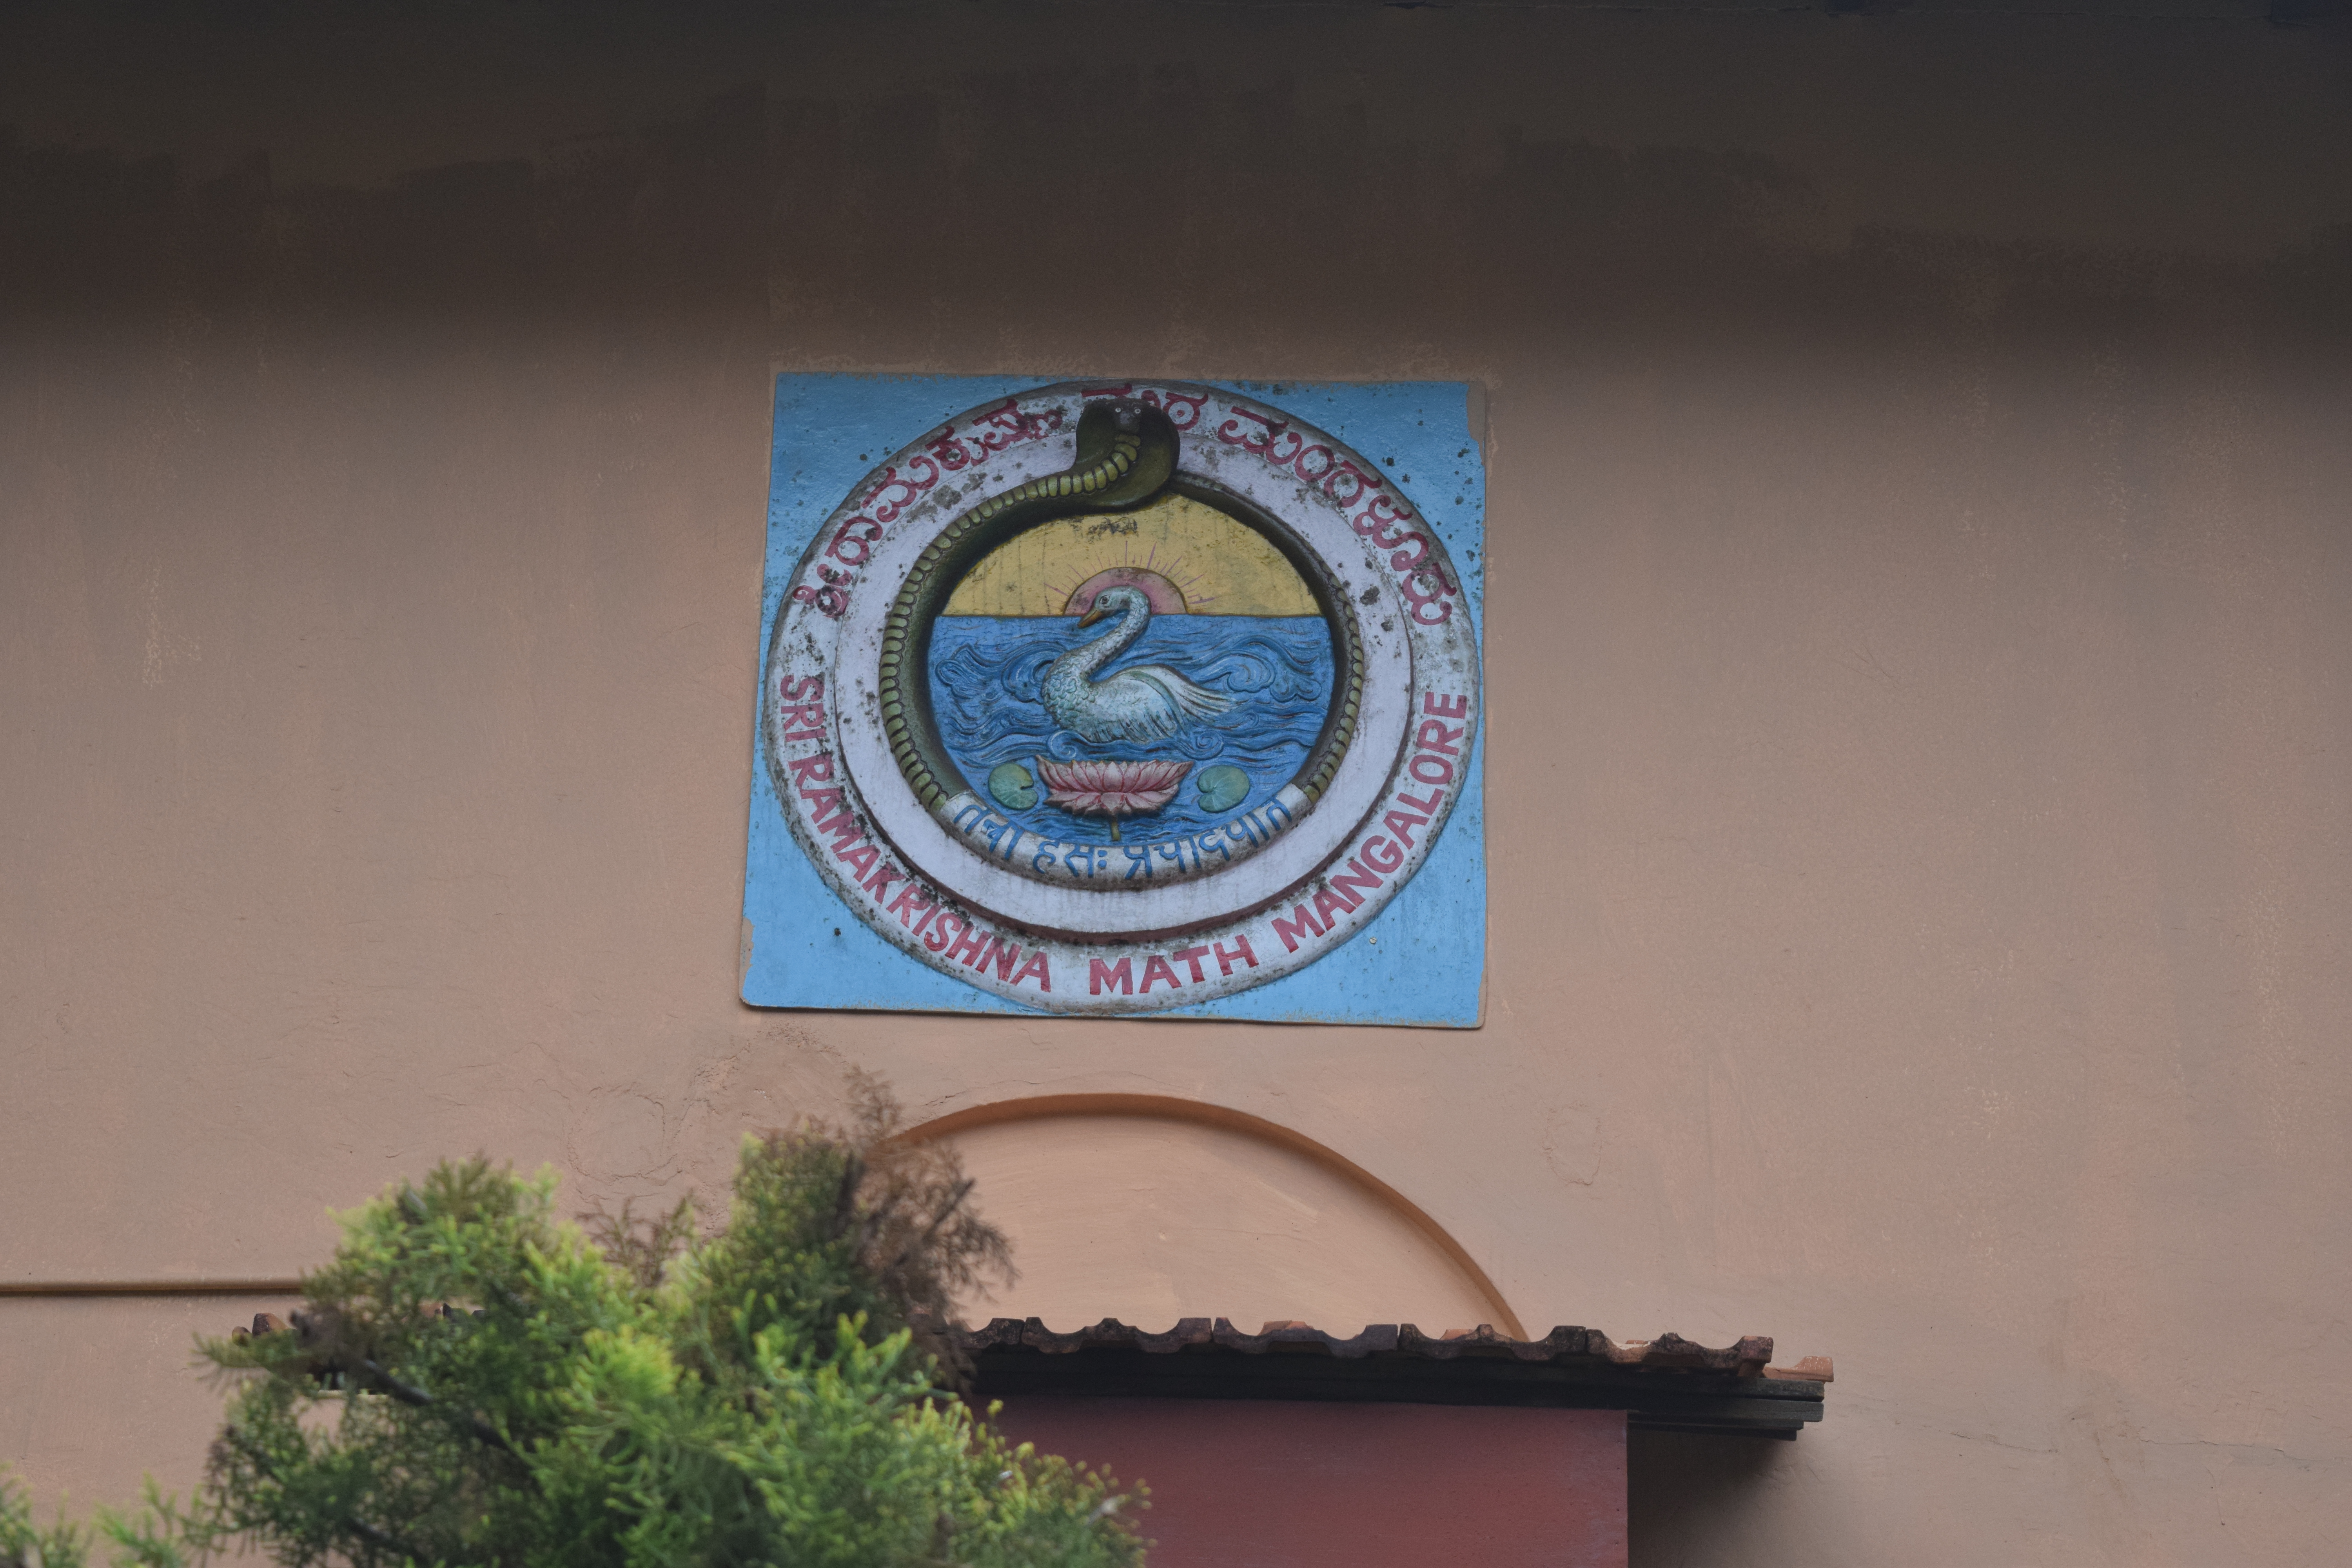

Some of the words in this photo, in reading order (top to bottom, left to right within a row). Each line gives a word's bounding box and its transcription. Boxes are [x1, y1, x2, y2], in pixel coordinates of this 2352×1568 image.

[787, 391, 1068, 622] ಶ್ರೀ ರಾಮಕೃಷ್ಣ
[1079, 377, 1212, 434] ಮಠ
[1209, 402, 1462, 627] ಮಂಗಳೂರು
[779, 673, 1052, 995] SRI RAMAKRISHNA
[947, 796, 1111, 880] तत्राहस:
[1121, 790, 1297, 886] प्रचादयात
[1269, 690, 1469, 958] MANGALORE
[1085, 930, 1263, 996] MATH